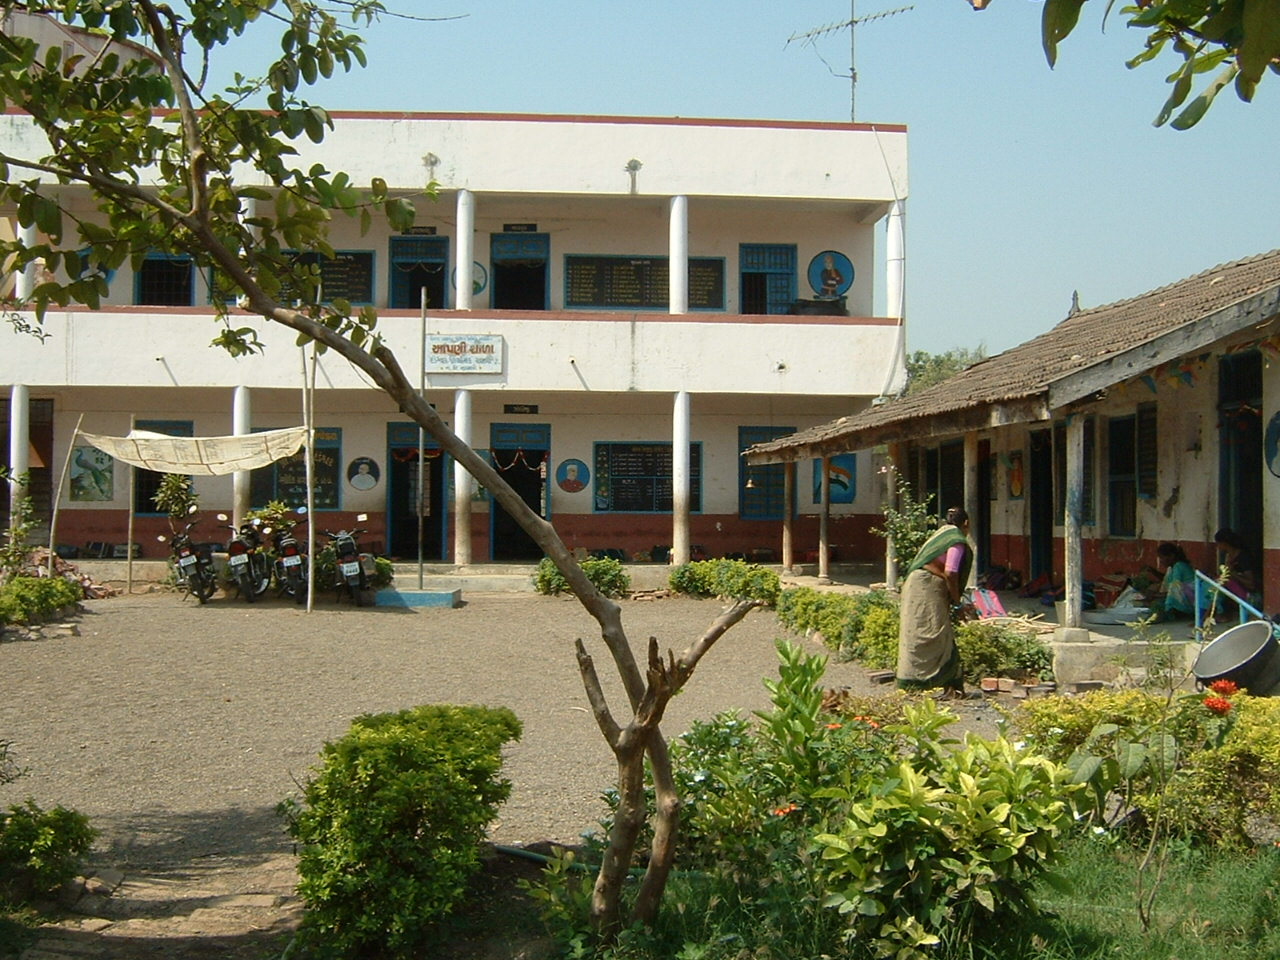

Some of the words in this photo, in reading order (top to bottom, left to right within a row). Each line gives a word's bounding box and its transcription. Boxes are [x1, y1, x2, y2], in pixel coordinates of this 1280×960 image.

[429, 338, 468, 355] આપણી
[468, 340, 499, 355] શાળા